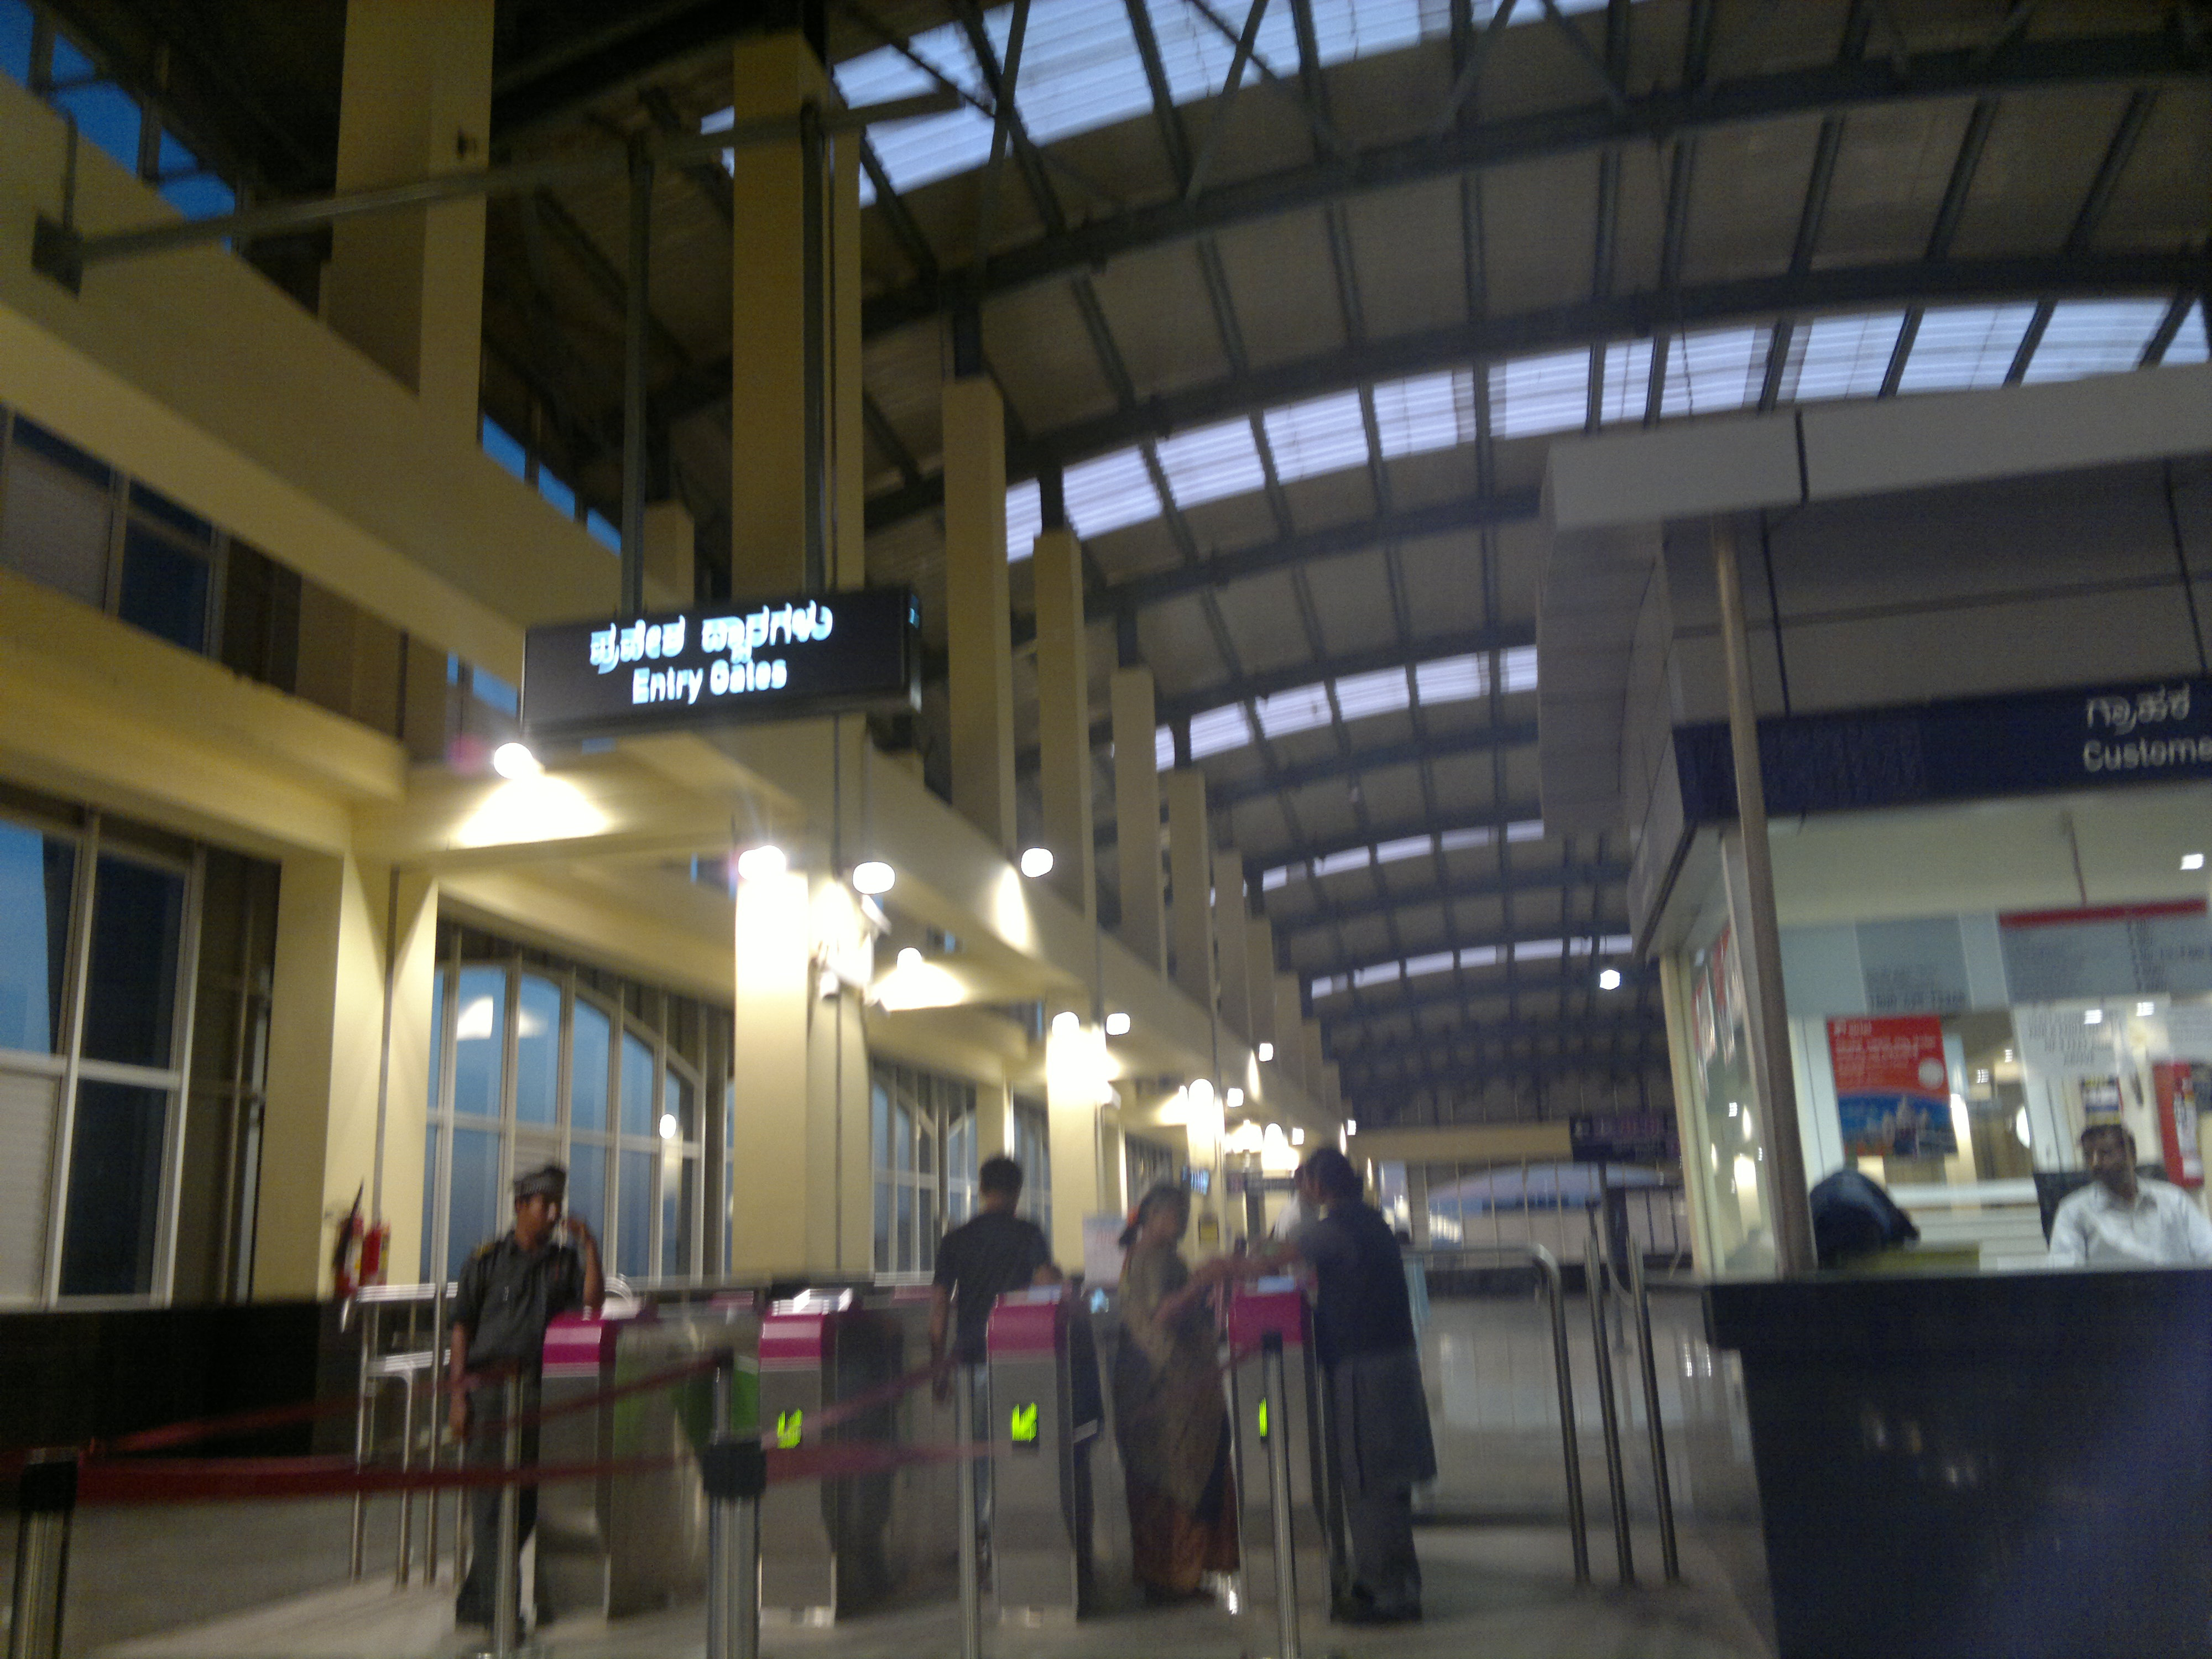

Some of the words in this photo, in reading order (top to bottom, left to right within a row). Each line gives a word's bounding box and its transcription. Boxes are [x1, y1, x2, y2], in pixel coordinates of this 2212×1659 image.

[585, 609, 688, 681] ಪ್ರಸೇಶ
[627, 657, 709, 709] Entry
[700, 645, 794, 703] Gates
[690, 591, 838, 665] ದ್ವಾರಗಳು
[2081, 680, 2194, 740] ಗ್ರಾಹಕ